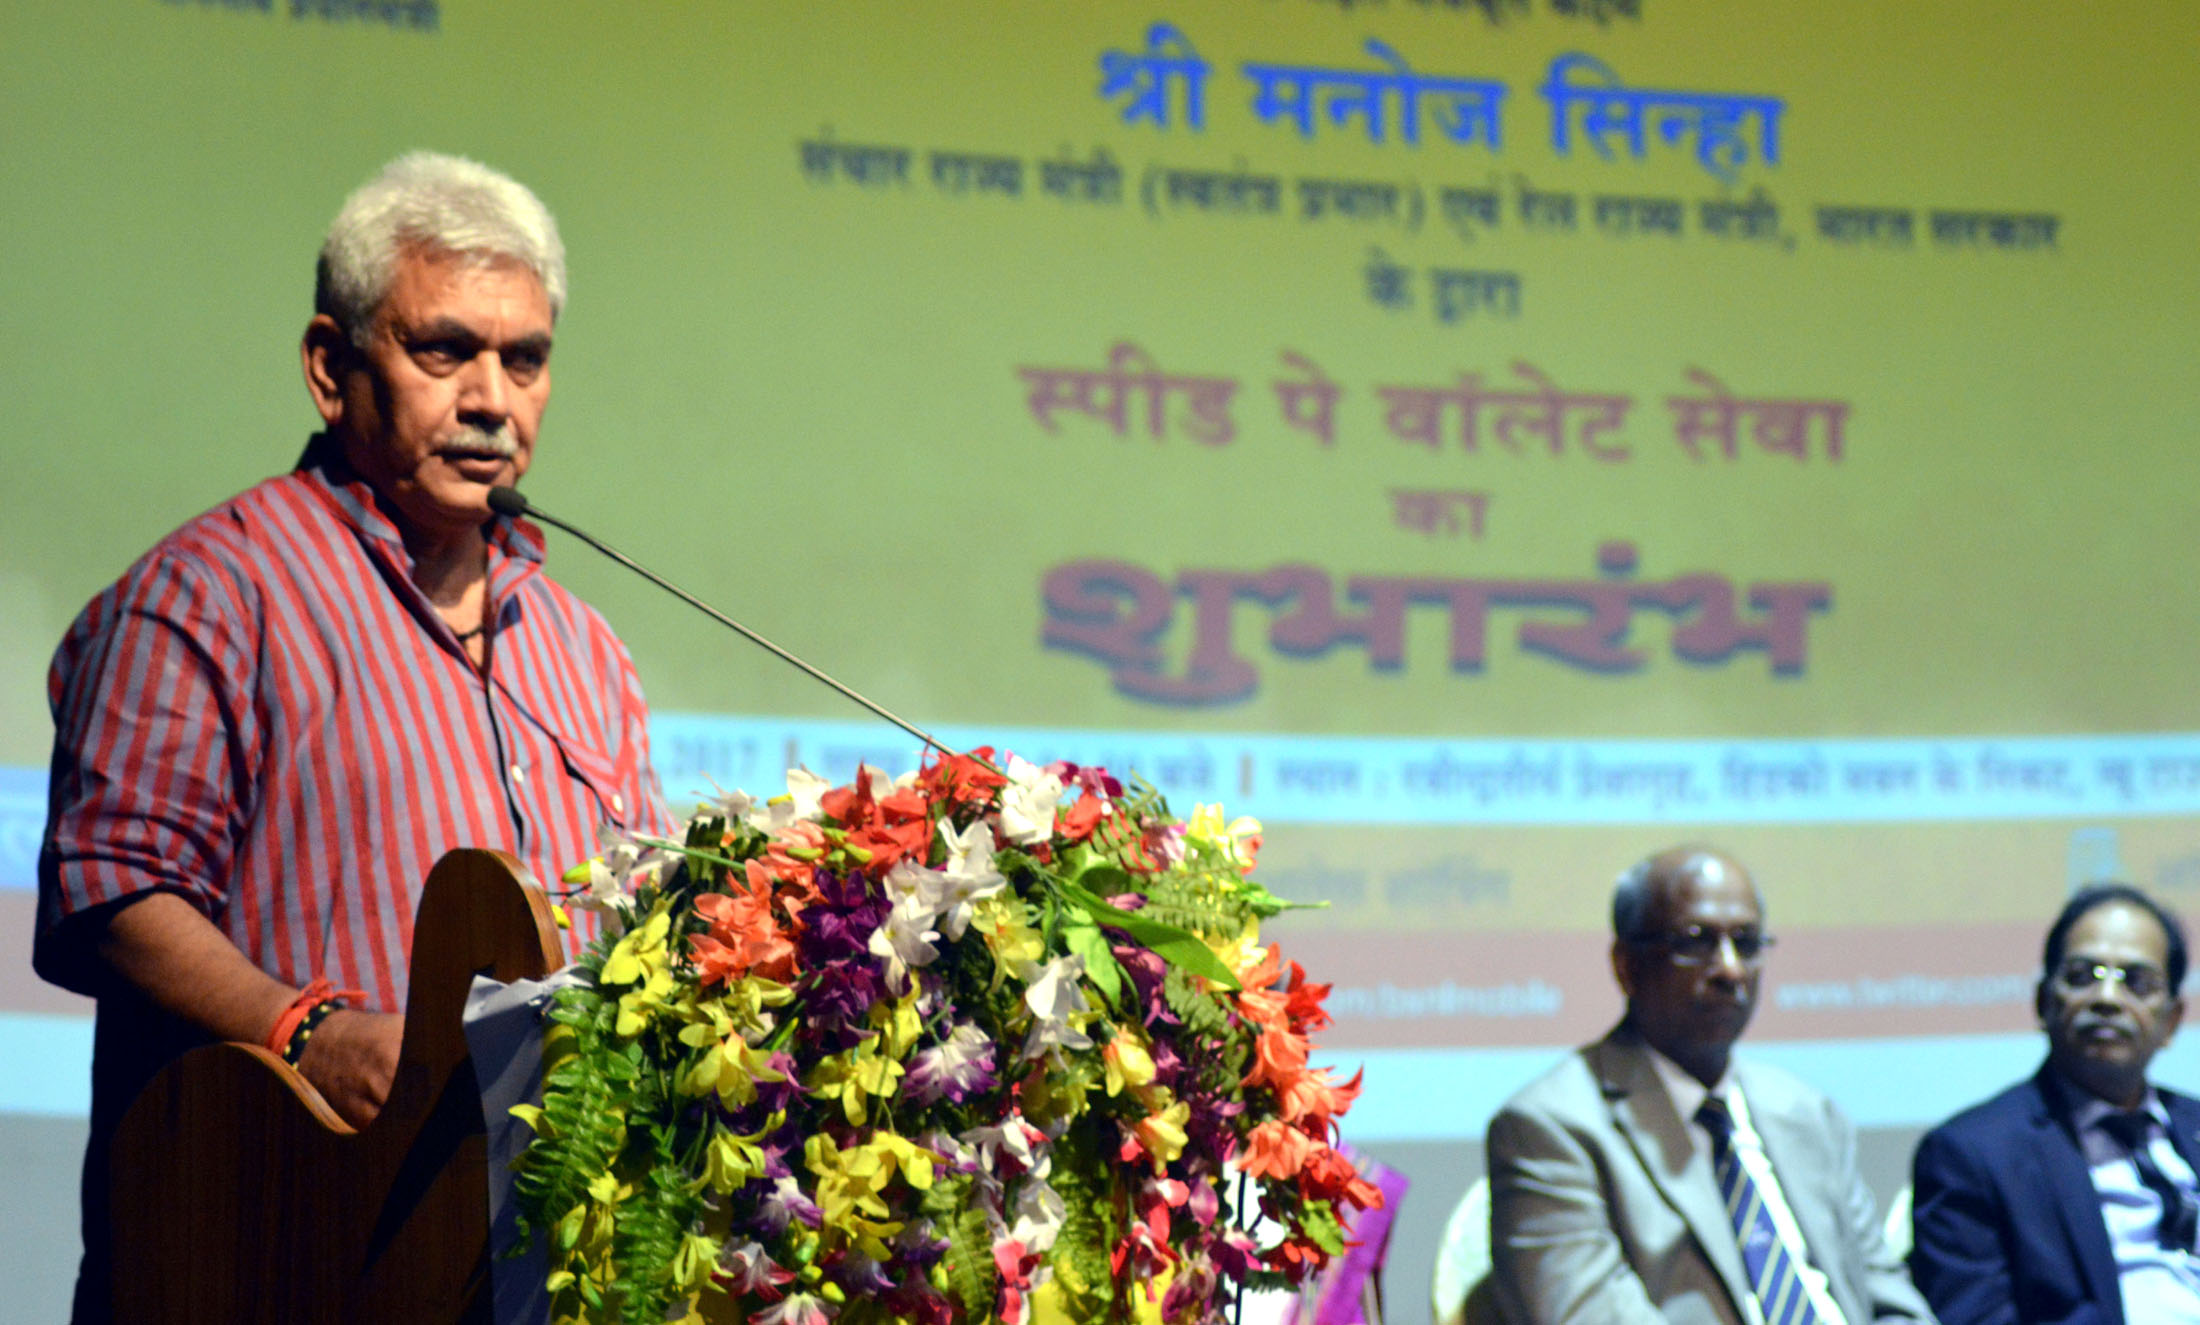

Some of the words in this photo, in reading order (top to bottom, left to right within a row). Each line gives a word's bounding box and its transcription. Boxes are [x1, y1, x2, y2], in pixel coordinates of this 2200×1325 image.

[1081, 2, 1220, 148] श्री
[1242, 31, 1508, 156] मनोज
[1528, 44, 1790, 187] सिन्हा
[1018, 335, 1242, 453] स्‍पीड
[1263, 338, 1345, 450] पे
[1371, 358, 1638, 466] वांलेट
[1659, 367, 1858, 493] सेवा
[1383, 483, 1502, 543] का
[1028, 532, 1832, 713] शुभारंभ